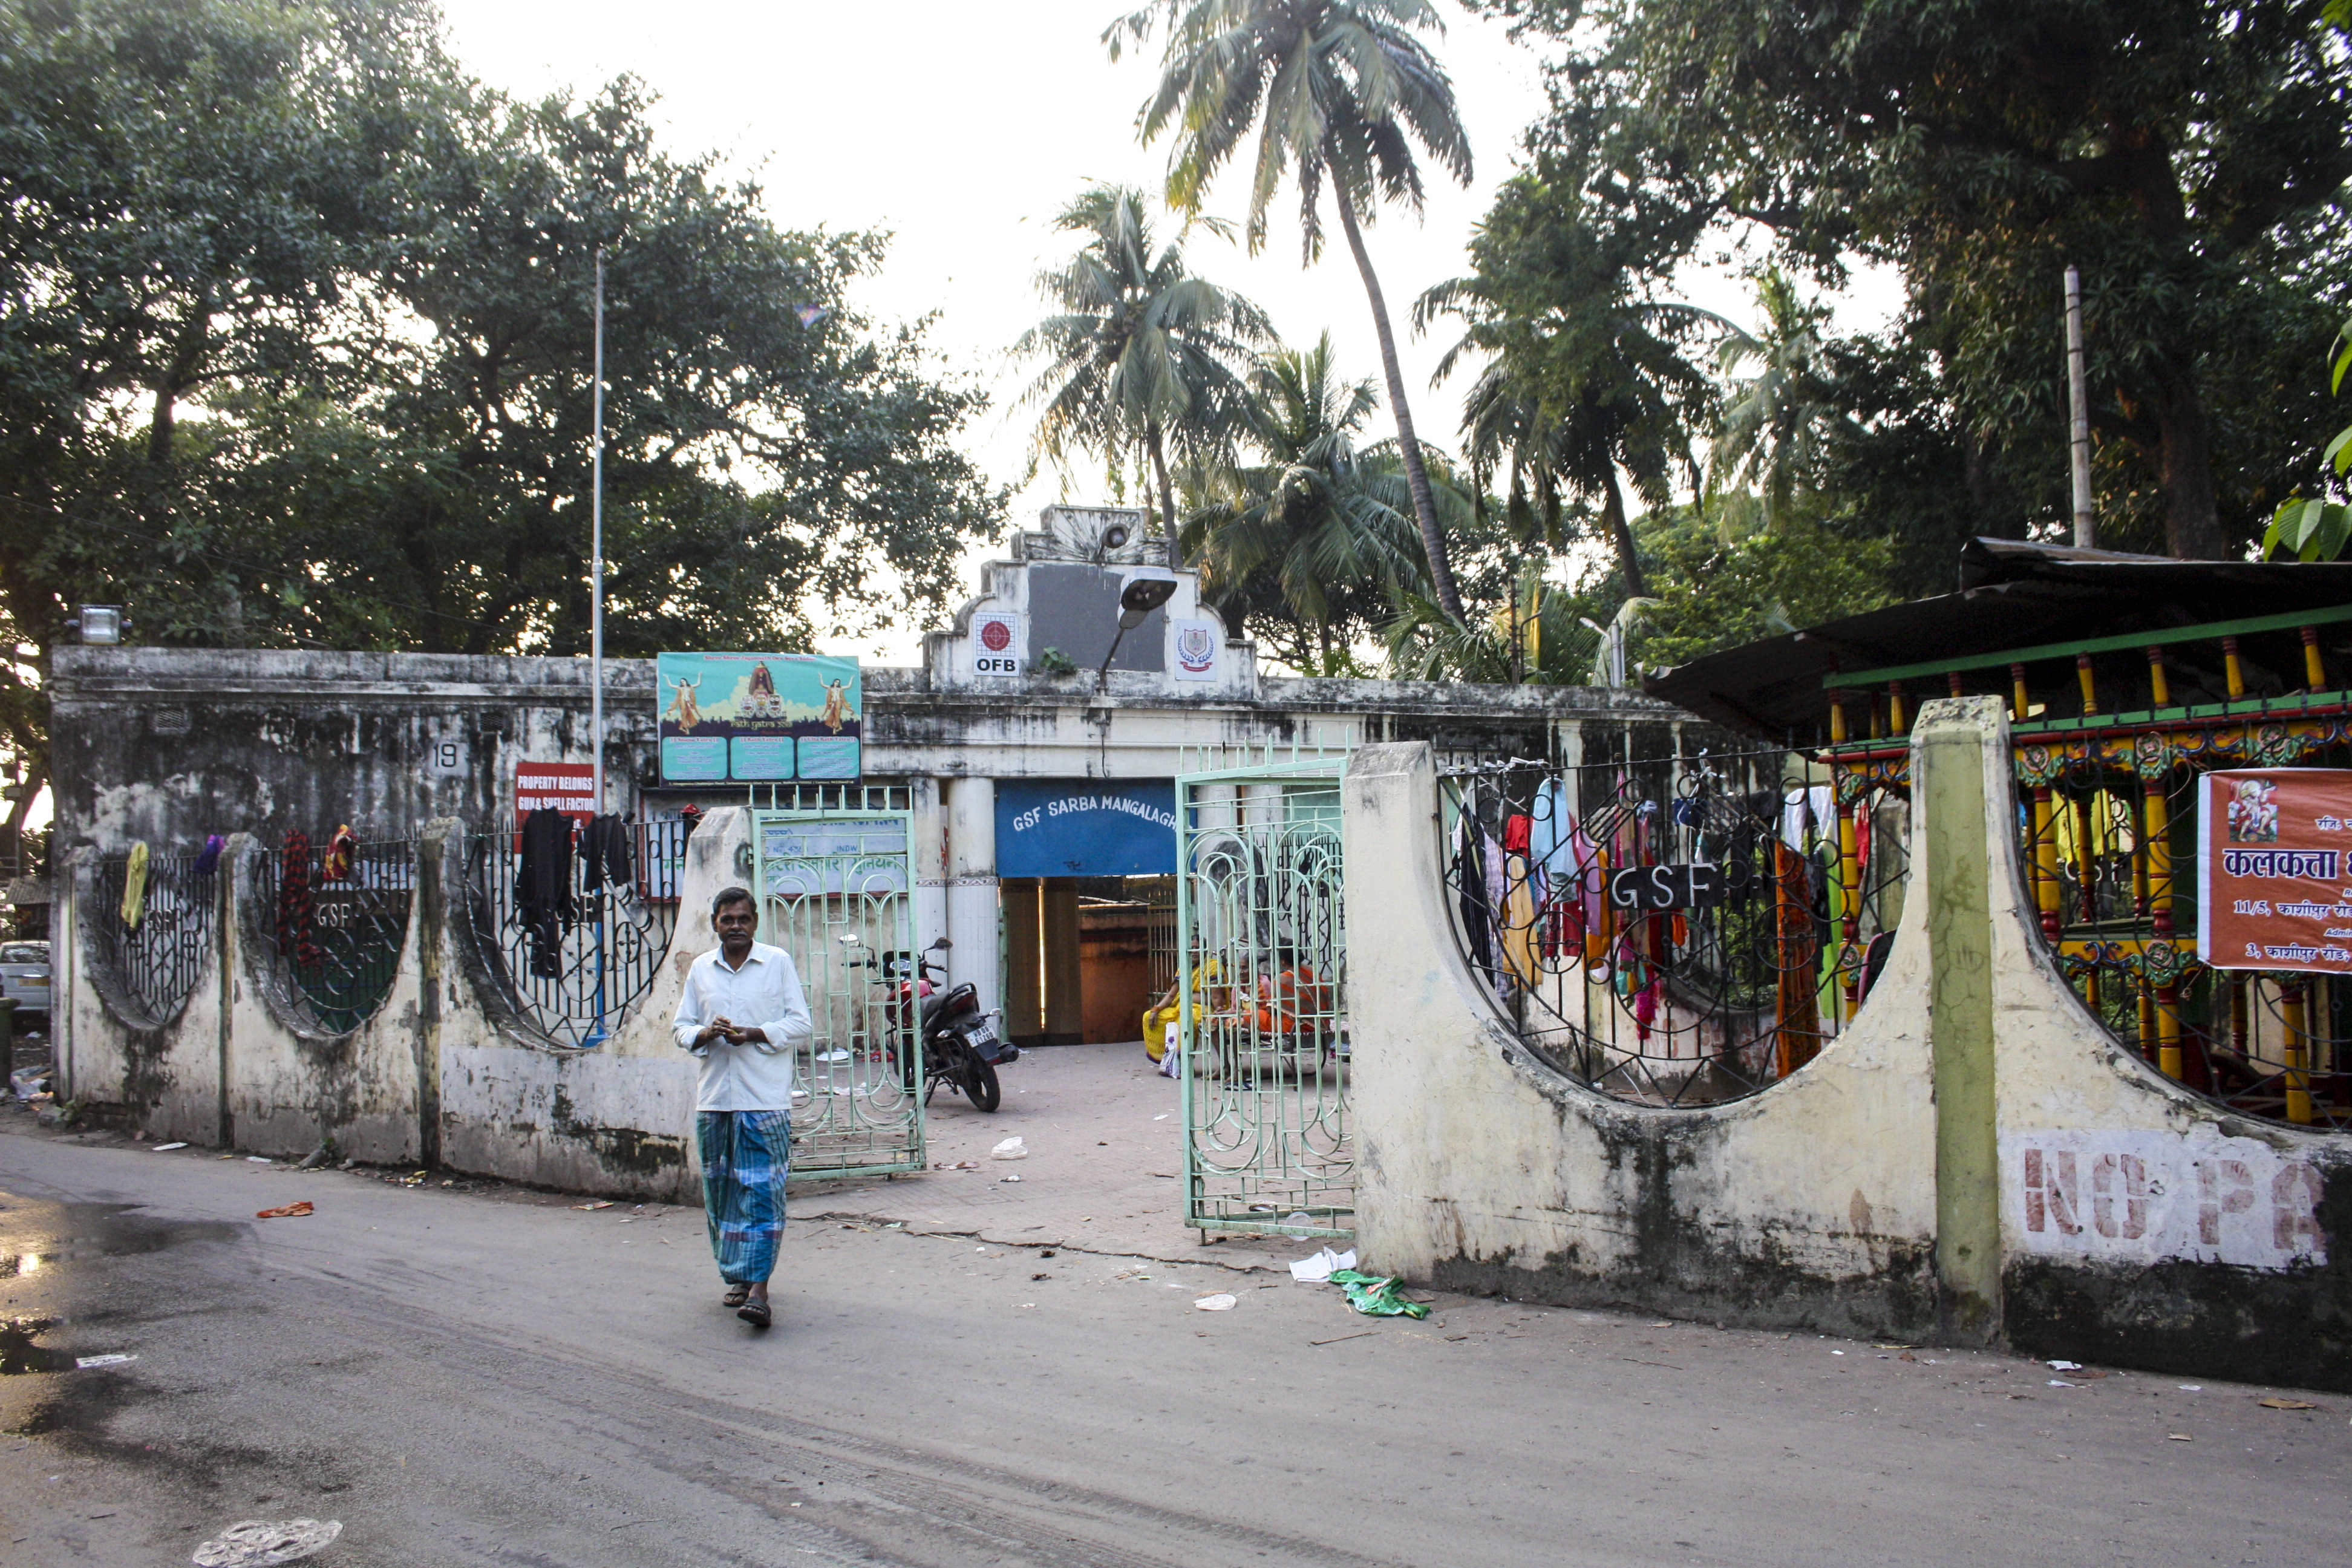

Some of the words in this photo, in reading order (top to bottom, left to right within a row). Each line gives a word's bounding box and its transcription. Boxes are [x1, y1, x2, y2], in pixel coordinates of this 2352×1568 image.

[973, 655, 1018, 675] OFB
[515, 771, 561, 794] PROPERTY
[555, 773, 599, 795] BELONGS
[514, 793, 540, 812] GUN
[539, 789, 598, 813] SHELLFACTOR
[1004, 801, 1048, 837] GSF
[1040, 792, 1099, 820] SARBA
[1097, 793, 1184, 833] MANGALAGH
[2307, 811, 2343, 832] रजिः
[848, 846, 901, 880] युनियन
[2219, 844, 2341, 880] कलकत्ता
[1606, 855, 1720, 912] GSF
[2230, 894, 2272, 918] 11/5,
[2273, 893, 2331, 922] काशीपुर
[2241, 938, 2266, 960] 3,
[2262, 937, 2323, 965] काशीपुर
[2317, 939, 2348, 964] रोड,